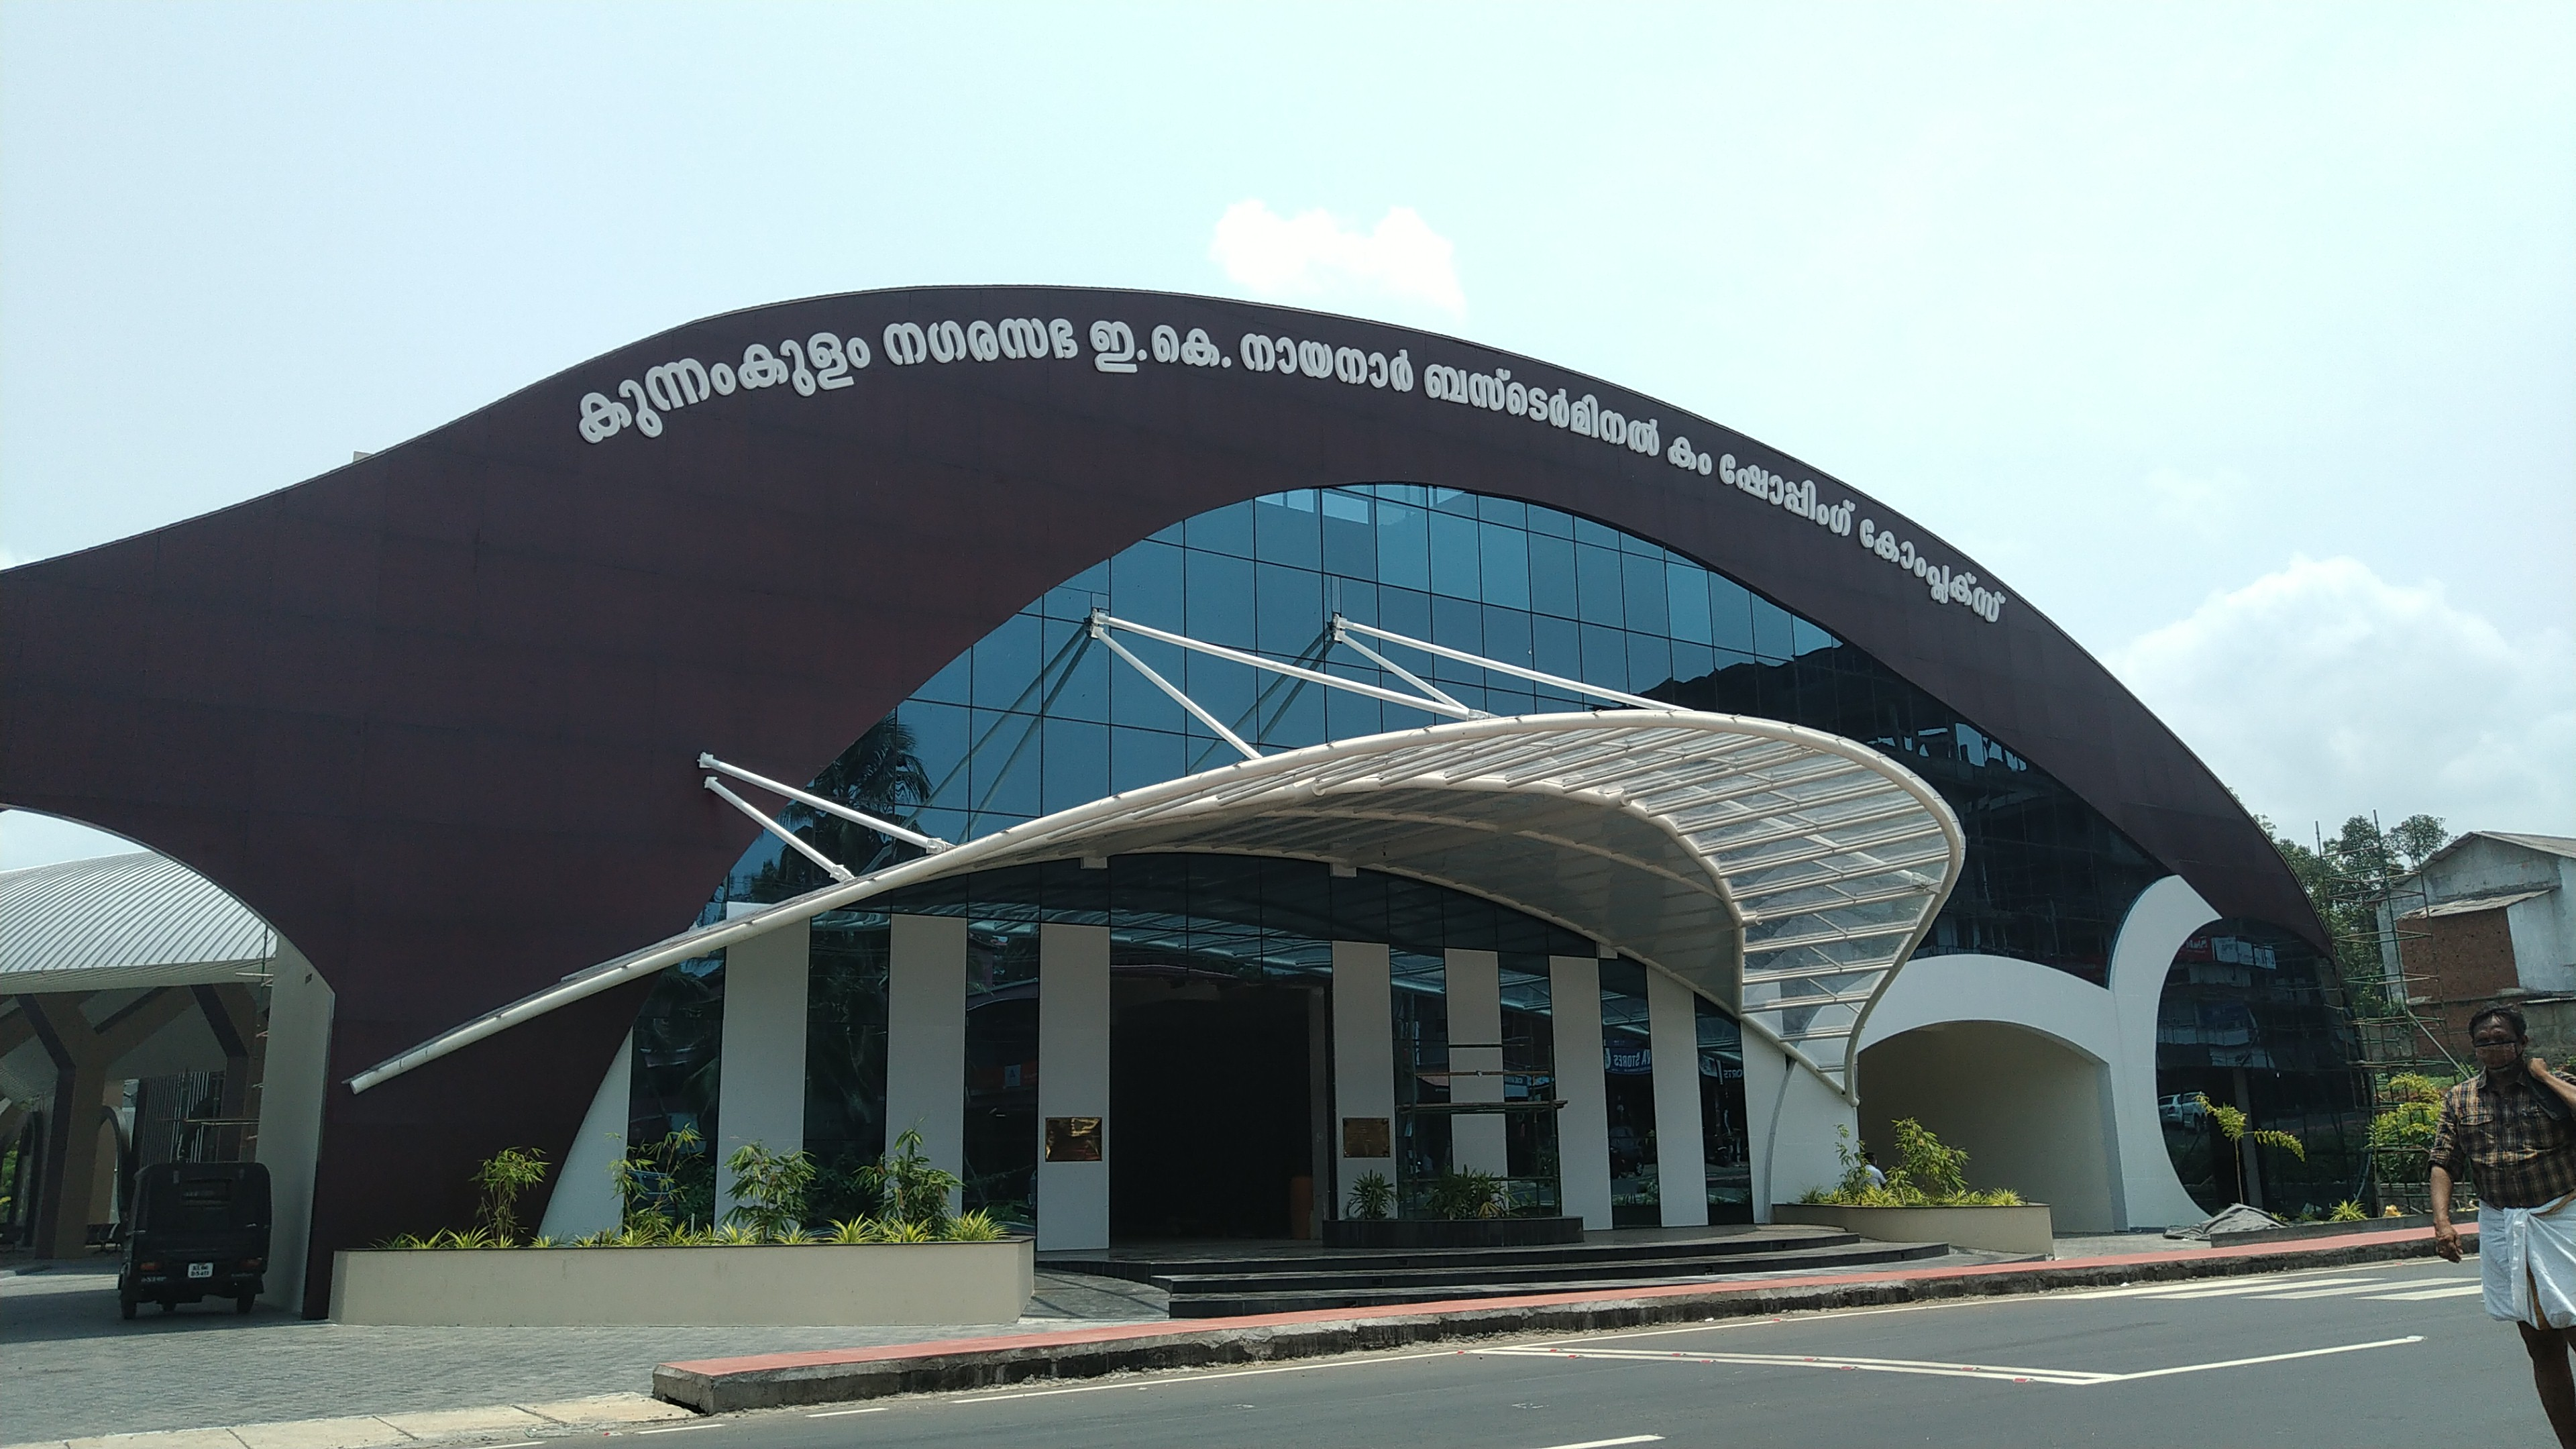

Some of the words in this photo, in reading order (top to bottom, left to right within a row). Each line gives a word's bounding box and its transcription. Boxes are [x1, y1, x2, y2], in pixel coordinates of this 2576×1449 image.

[570, 323, 876, 452] കുന്നംകുളം
[879, 312, 1081, 371] നഗരസഭ
[1085, 315, 1236, 376] ഇ.കെ.
[1233, 324, 1421, 398] നായനാർ
[1418, 357, 1665, 466] ബസ്ടെർമിനൽ
[1660, 431, 1720, 481] കം
[1711, 446, 1862, 541] ഷോപ്പിംഗ്
[1850, 513, 2008, 628] കോംപ്ലക്‌സ്